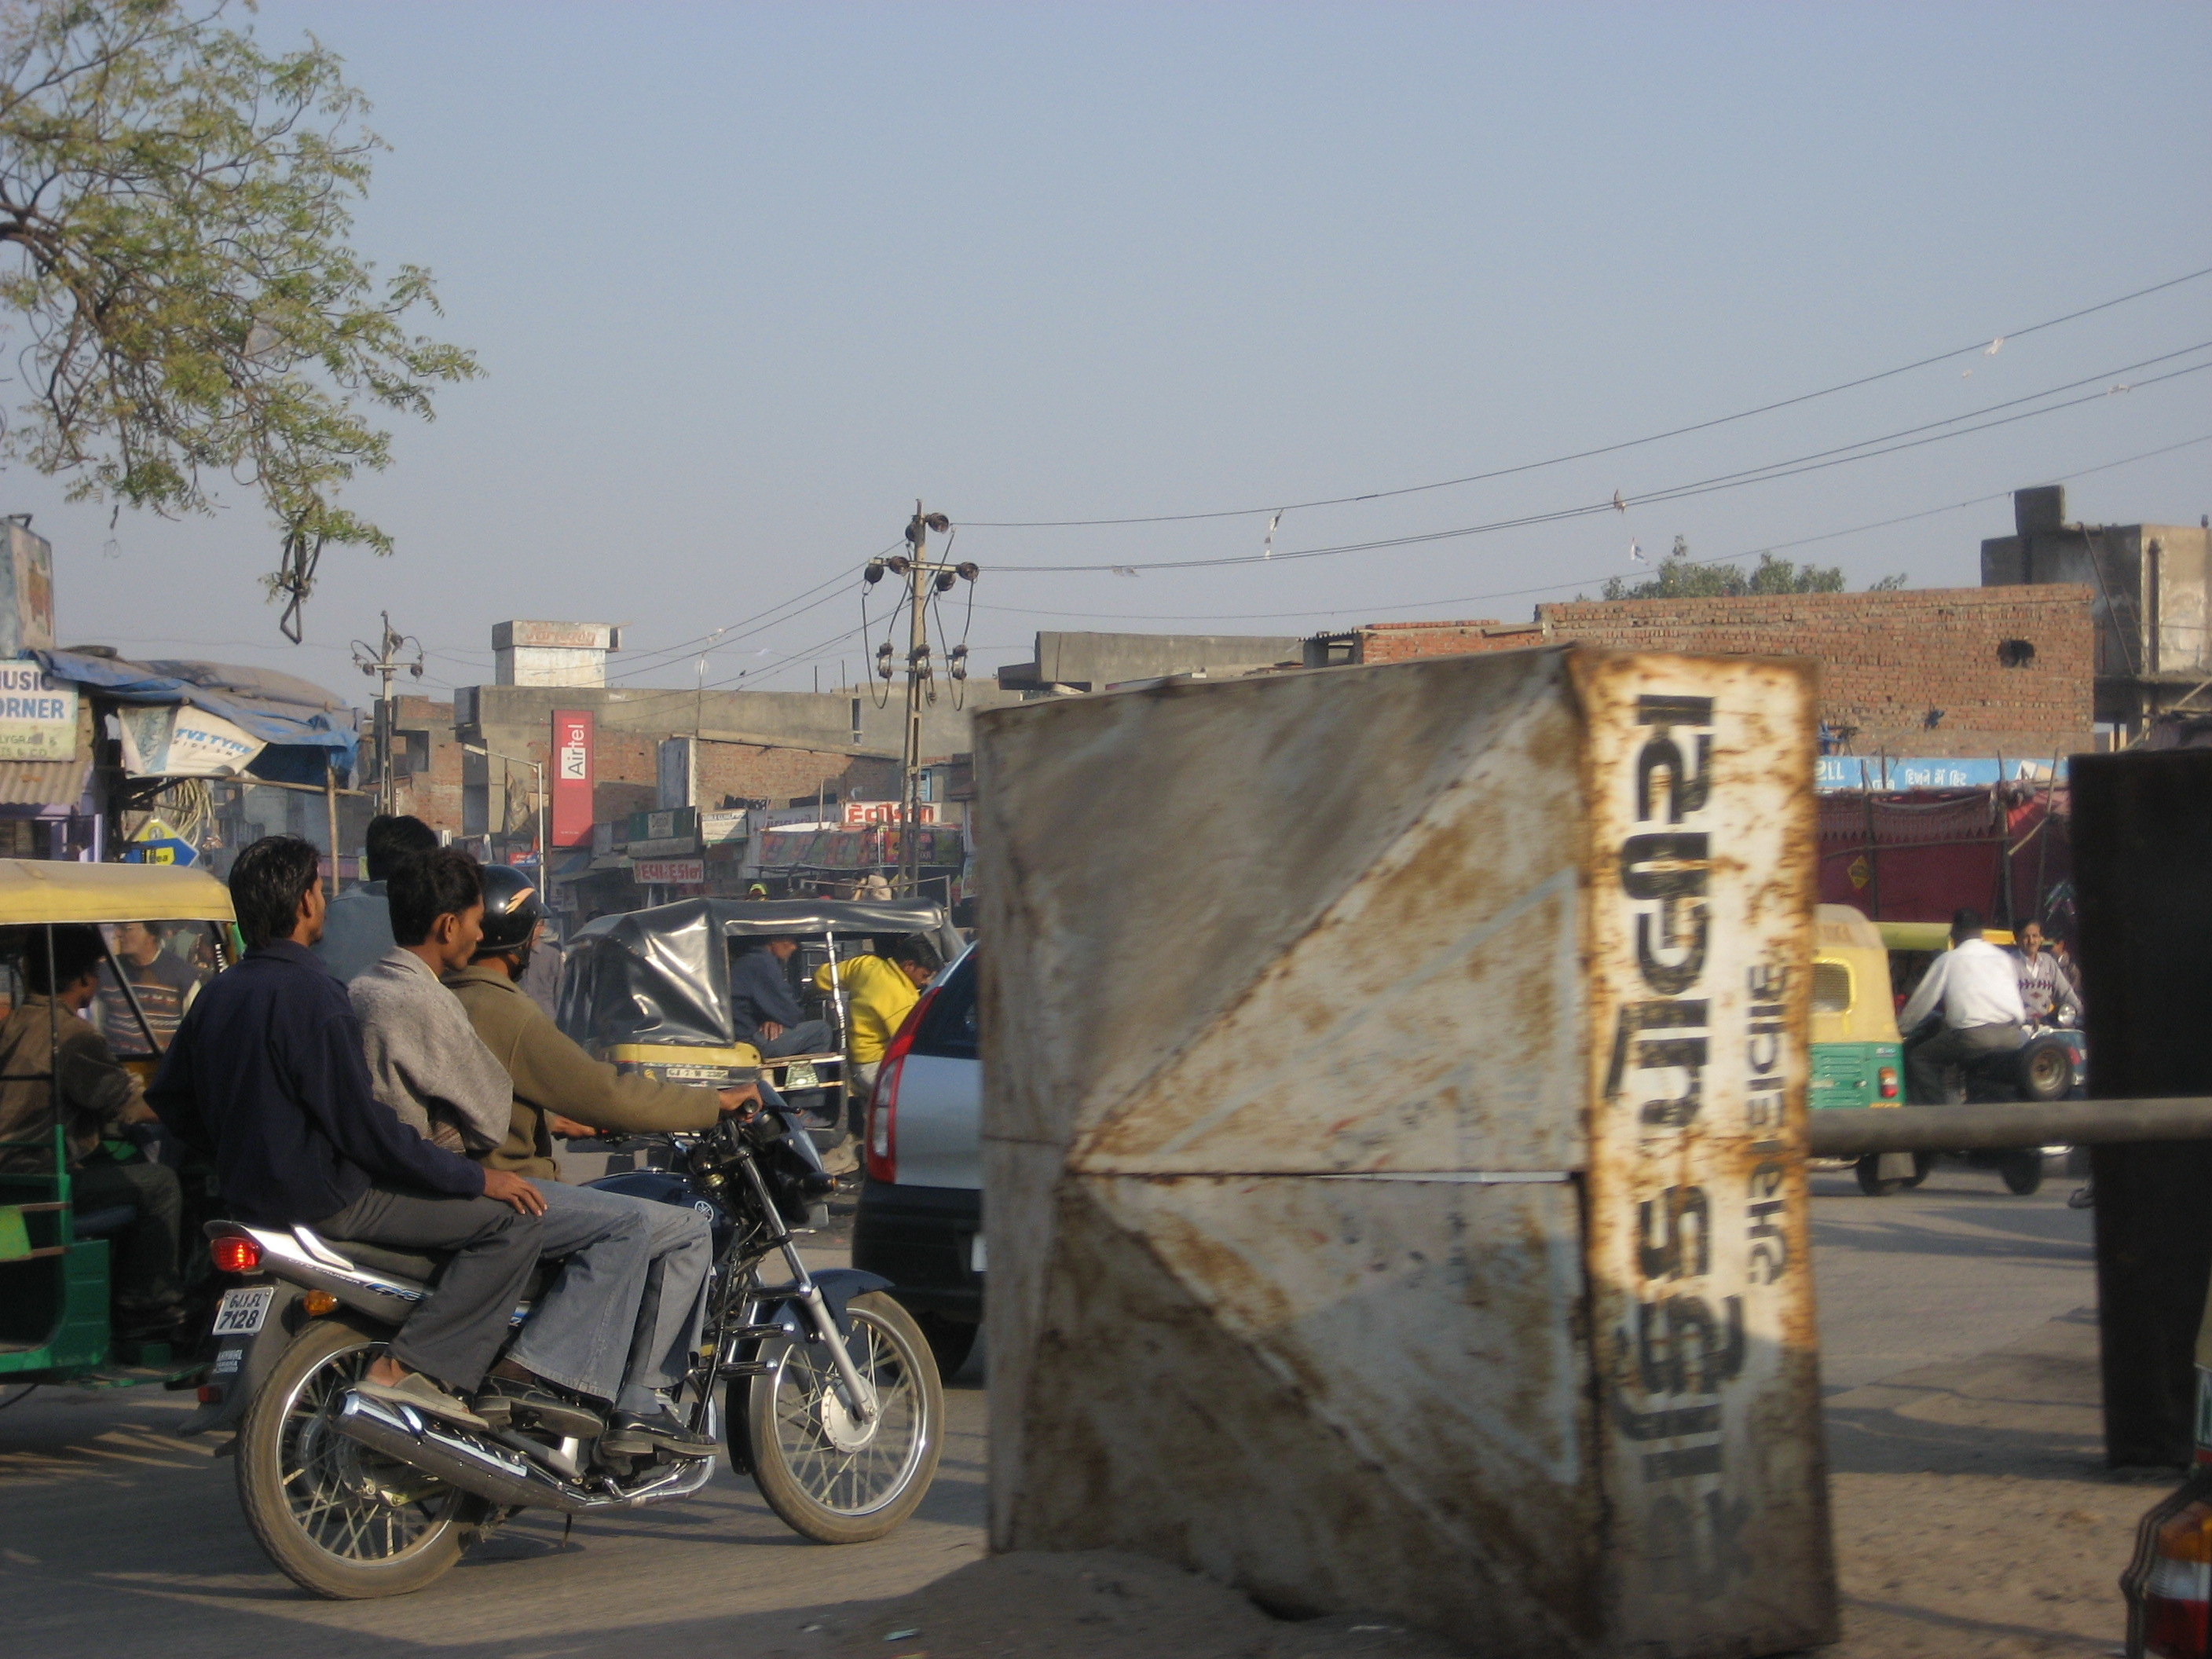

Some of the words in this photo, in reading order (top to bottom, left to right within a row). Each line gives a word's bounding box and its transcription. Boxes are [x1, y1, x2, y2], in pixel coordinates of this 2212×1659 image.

[1617, 705, 1715, 1122] પોલીસ
[1621, 1174, 1721, 1287] फ